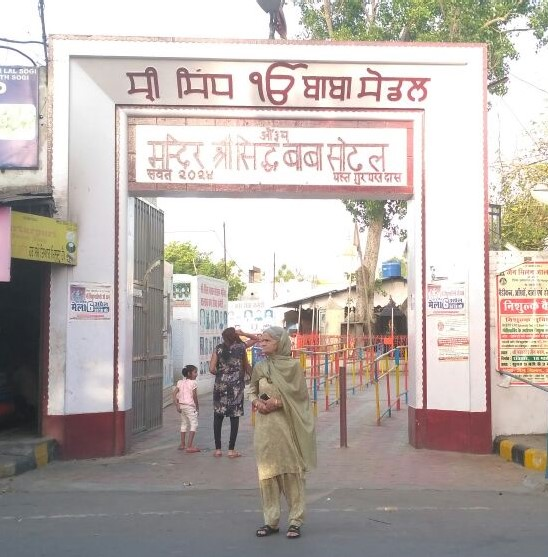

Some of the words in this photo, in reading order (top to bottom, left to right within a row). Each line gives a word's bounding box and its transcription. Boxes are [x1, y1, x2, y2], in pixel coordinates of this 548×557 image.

[119, 61, 167, 107] ਸ੍ਰੀ
[172, 65, 238, 103] ਸਿਂਧ
[242, 55, 313, 109] ੧ਓ
[298, 70, 357, 104] ਬਾਬਾ
[355, 64, 440, 109] ਸੋਡਲ
[141, 168, 177, 185] सवत
[142, 127, 209, 168] मन्दिर
[176, 168, 217, 183] २०२४
[209, 127, 234, 174] श्री
[233, 126, 281, 179] सिद्ध
[256, 126, 293, 143] ओ३म्
[281, 139, 325, 176] बाबा
[329, 172, 352, 185] यह्त
[324, 129, 395, 173] सोढल
[352, 171, 407, 187] गुर परख दास
[502, 297, 541, 314] निशुल्क